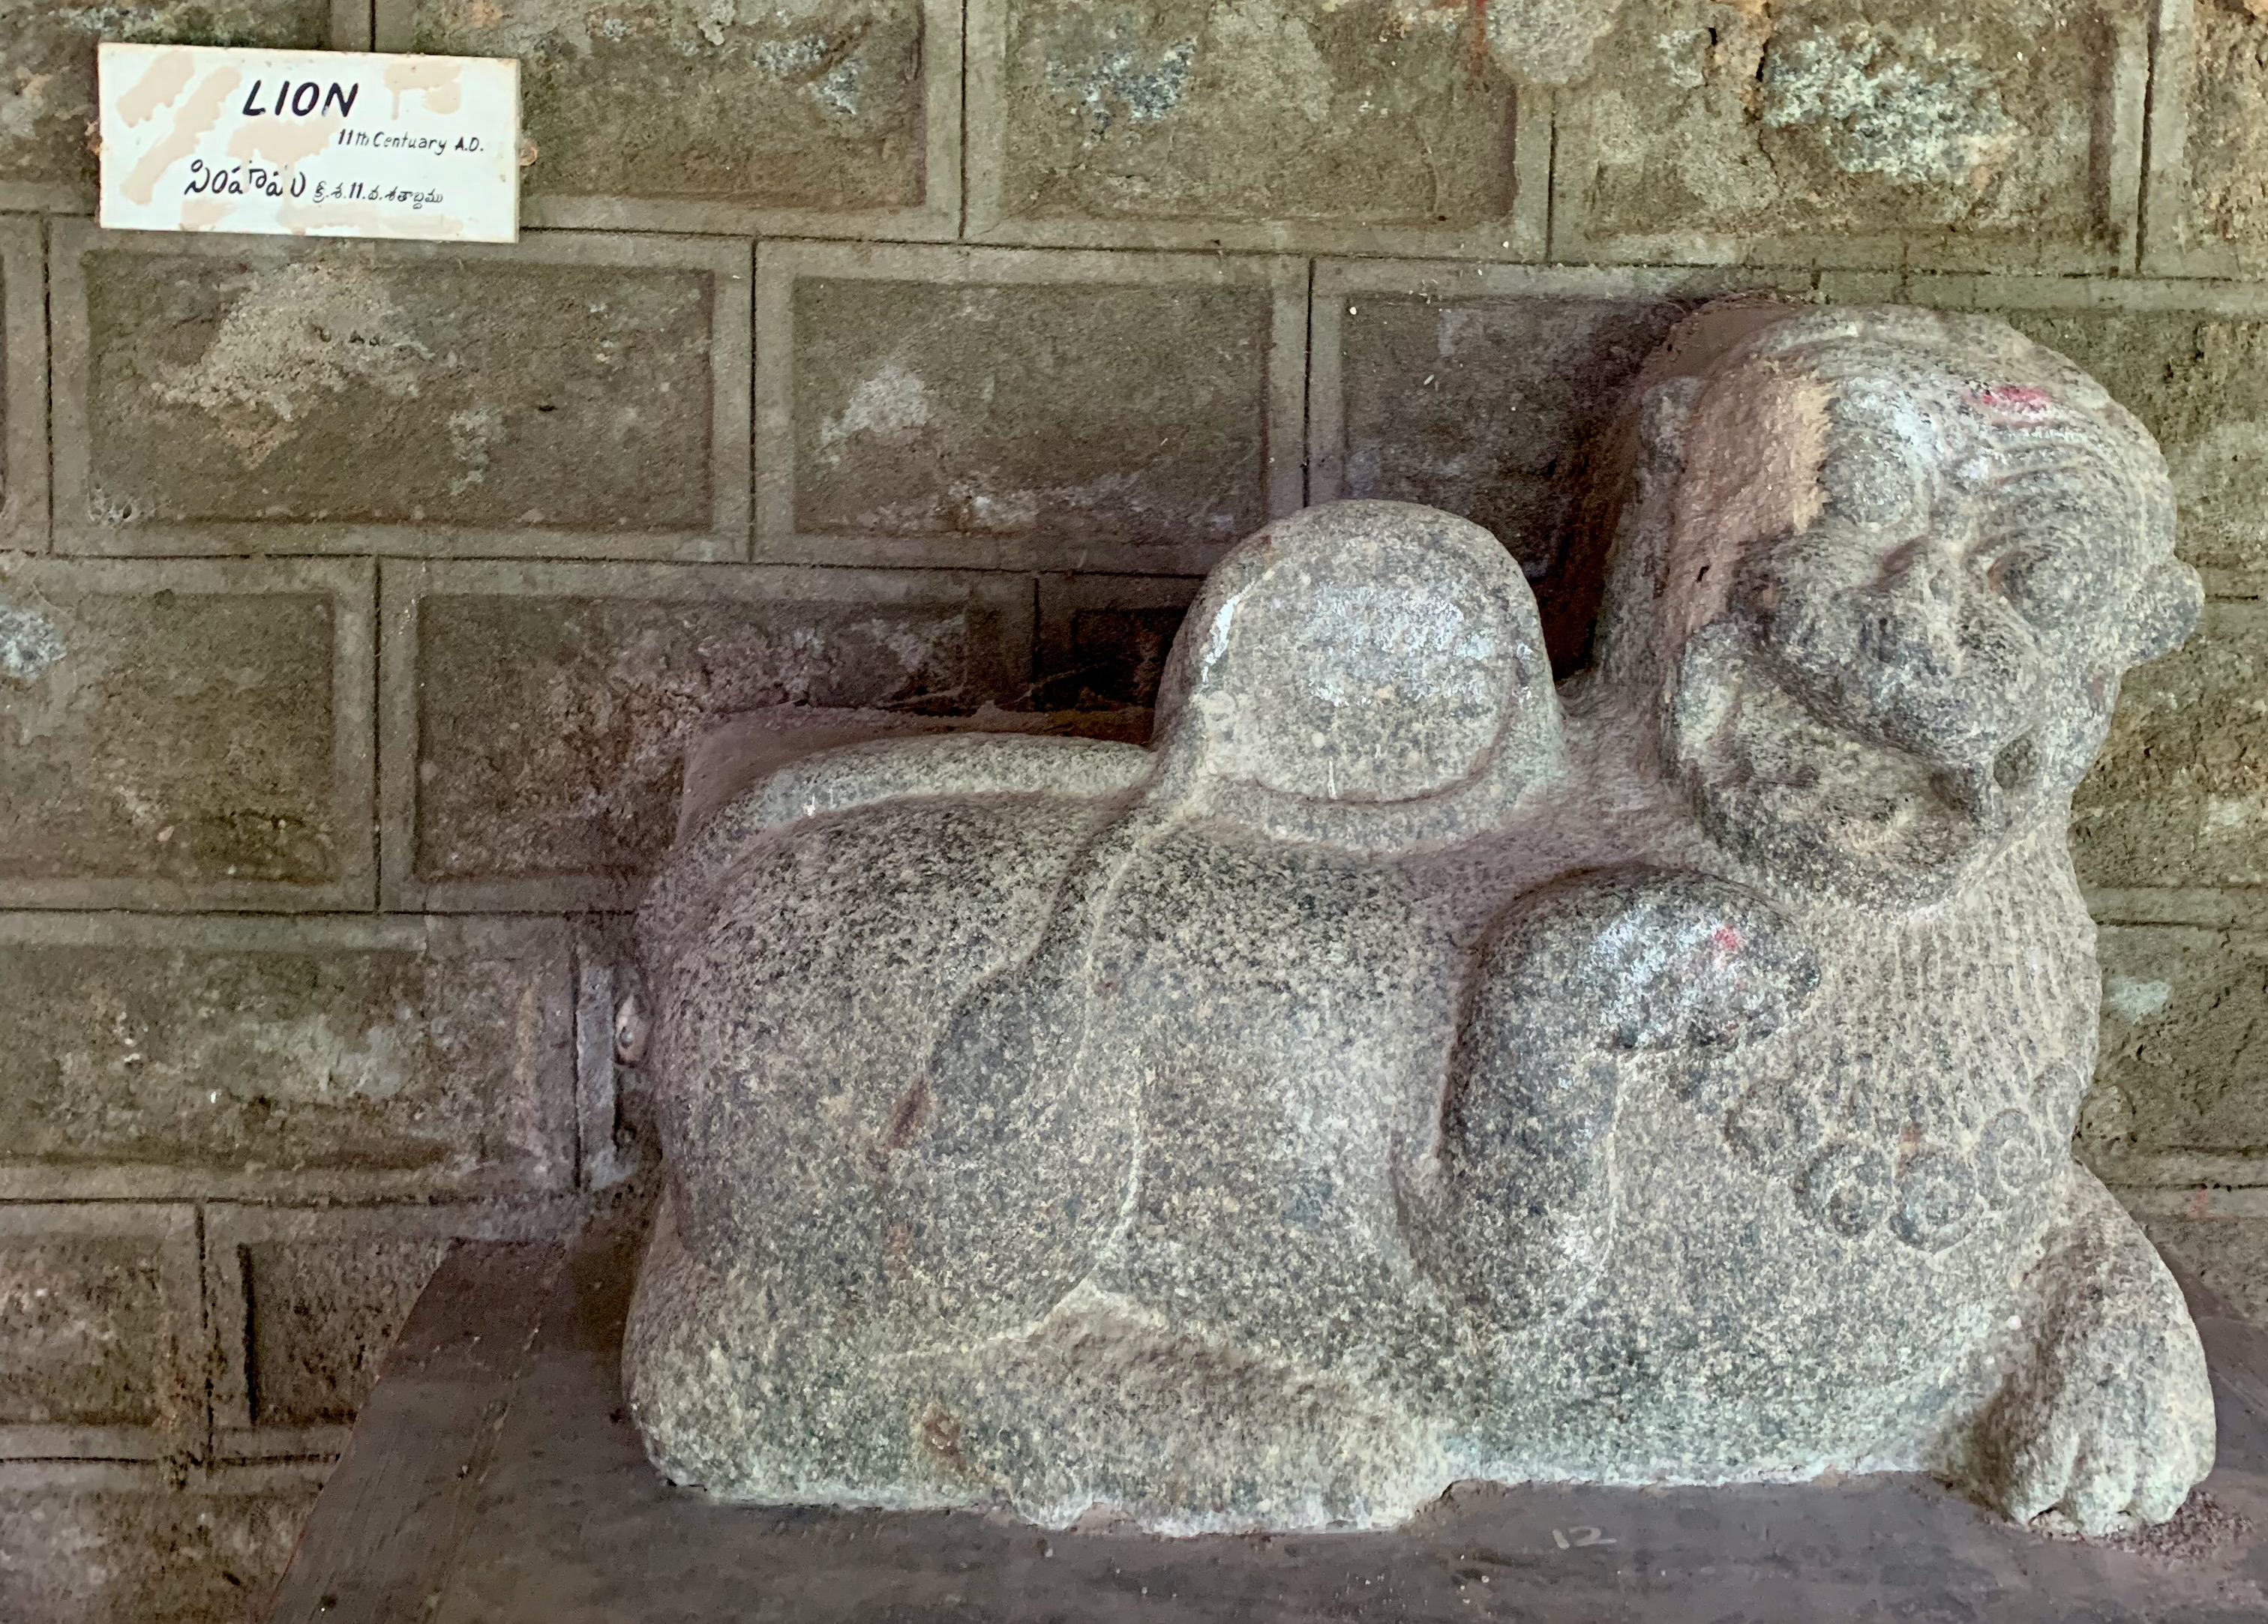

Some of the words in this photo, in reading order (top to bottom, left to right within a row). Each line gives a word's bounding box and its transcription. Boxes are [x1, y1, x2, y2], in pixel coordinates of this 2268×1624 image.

[242, 76, 367, 124] LION
[332, 120, 379, 155] 11th
[370, 121, 452, 162] Centuary
[447, 130, 487, 160] A.D.
[181, 154, 310, 205] సింహపం
[307, 171, 455, 218] క్రీ.శ.11.వ.శతాబ్దము